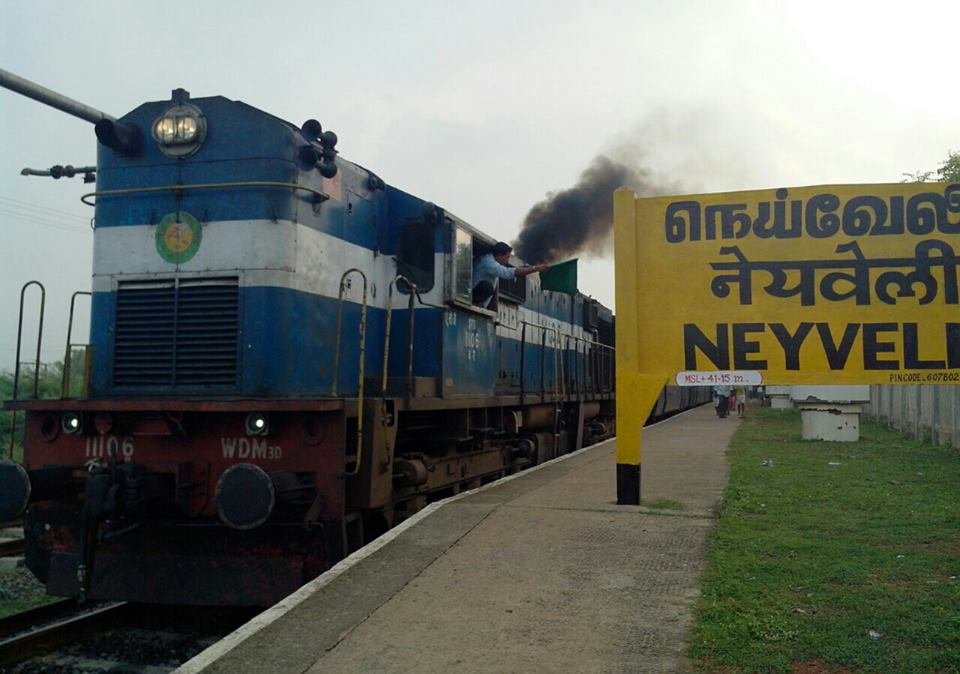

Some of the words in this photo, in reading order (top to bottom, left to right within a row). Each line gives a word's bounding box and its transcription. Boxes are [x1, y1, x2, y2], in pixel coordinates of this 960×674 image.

[661, 175, 960, 245] நெய்வேலி
[704, 230, 960, 310] नेयवेली
[684, 315, 956, 376] NEYVELI
[216, 428, 295, 469] WDM3D